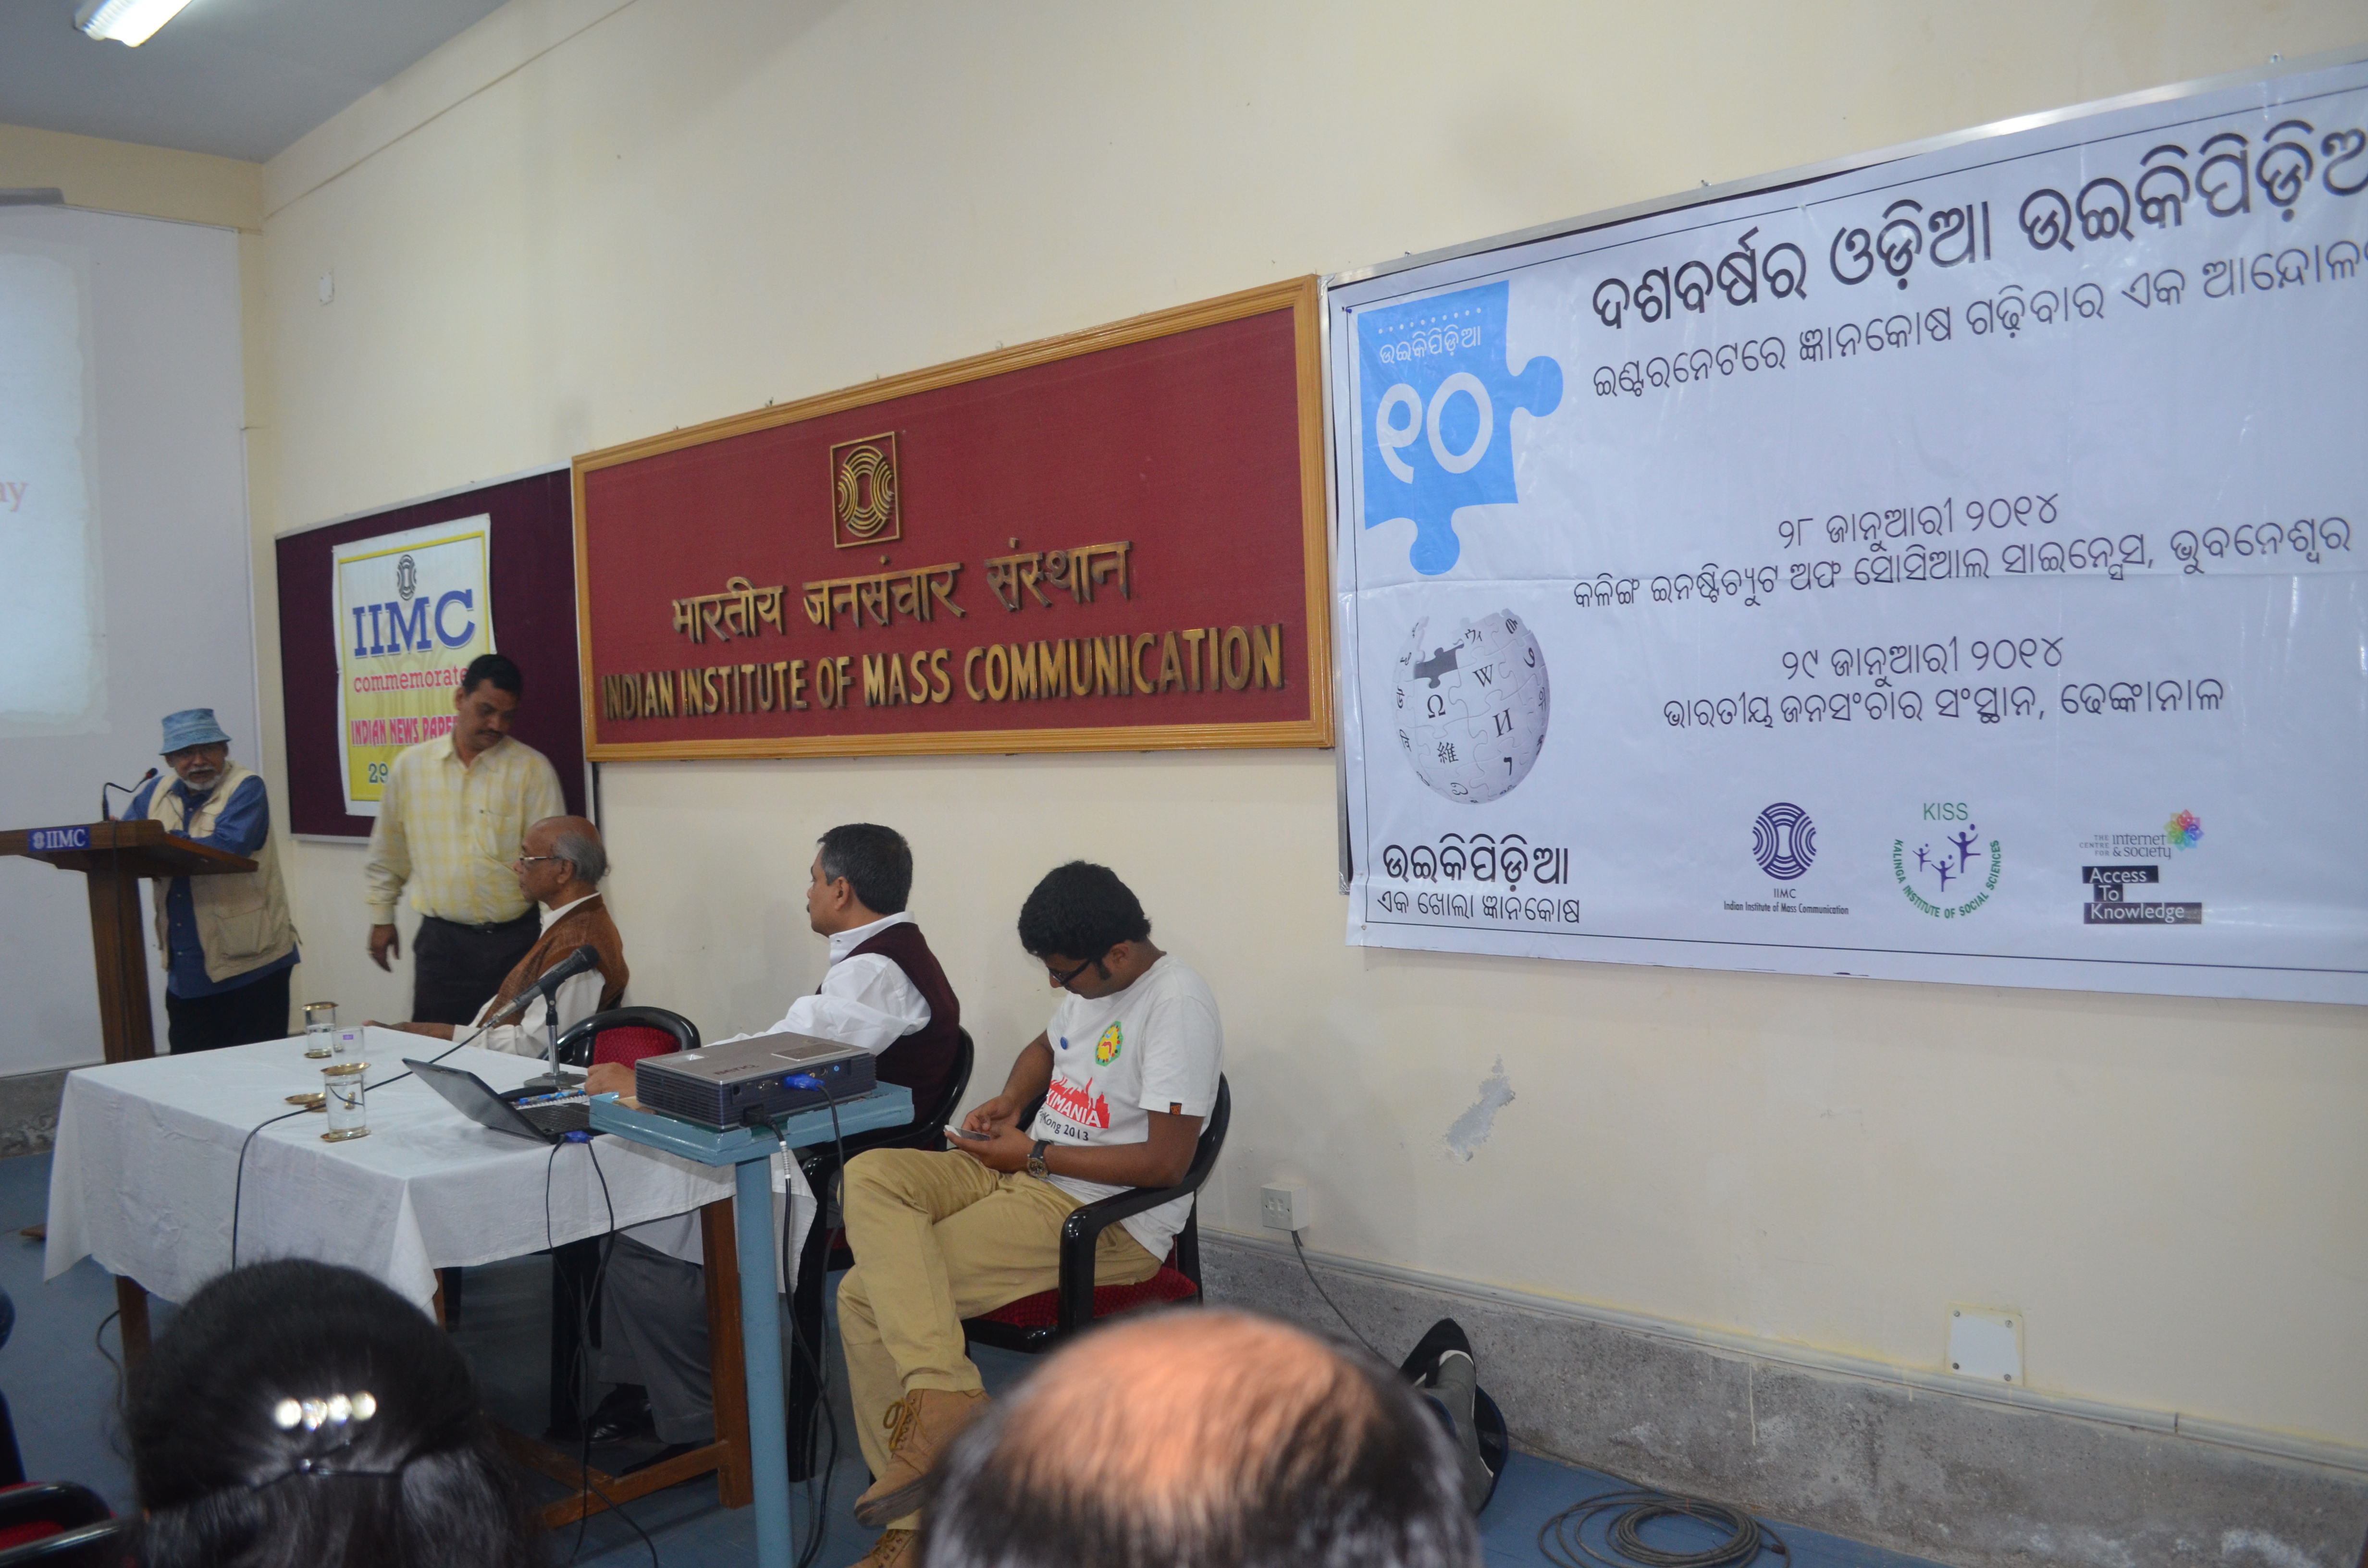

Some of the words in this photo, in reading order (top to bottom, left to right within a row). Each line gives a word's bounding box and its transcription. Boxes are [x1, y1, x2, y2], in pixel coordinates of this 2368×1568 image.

[2016, 113, 2366, 257] ଉଇକିପିଡ଼ିଆ
[1823, 193, 1994, 296] ଓଡ଼ିଆ
[1588, 224, 1813, 336] ଦଶବର୍ଷର
[1958, 270, 2110, 341] ଗଢ଼ିବାର
[2116, 256, 2195, 319] ଏକ
[2198, 233, 2364, 302] ଆନ୍ଦୋଳ
[1374, 321, 1484, 365] ଉଇକିପିଡ଼ିଆ
[1795, 304, 1953, 368] ଜ୍ଞାନକୋଷ
[1590, 332, 1787, 402] ଇଣ୍ଟରନେଟରେ
[345, 582, 480, 662] IIMC
[668, 570, 787, 648] भारतीय
[799, 551, 968, 633] जनसंचार
[983, 527, 1134, 615] संस्थान
[1571, 568, 1645, 612] କଳିଙ୍ଗ
[1648, 558, 1782, 612] ଇନଷ୍ଟିଚ୍ୟୁଟ
[1775, 513, 1815, 554] ୨୮
[1787, 556, 1845, 595] ଅଫ
[1825, 496, 1954, 555] ଜାନୁଆରୀ
[1853, 541, 1991, 590] ସୋସିଆଲ
[1964, 492, 2060, 532] ୨୦୧୪
[2000, 530, 2148, 585] ସାଇନ୍ସେସ,
[2165, 515, 2355, 575] ଭୁବନେଶ୍ବର
[350, 664, 473, 695] commemorate
[596, 664, 678, 722] INDIAN
[678, 657, 810, 719] INSTITUTE
[812, 650, 857, 712] OF
[848, 639, 958, 716] MASS
[959, 620, 1286, 705] COMMUNICATION
[1660, 688, 1775, 729] ଭାରତୀୟ
[1780, 687, 1928, 726] ଜନସଂଚାର
[1780, 631, 1961, 691] ୨୯ ଜାନୁଆରୀ
[1935, 684, 2039, 726] ସଂସ୍ଥାନ
[1971, 631, 2068, 675] ୨୦୧୪
[2060, 672, 2227, 717] ଢେଙ୍କାନାଳ
[347, 715, 392, 749] INDIAN
[384, 716, 421, 746] NEWS
[1918, 795, 1977, 824] KISS
[40, 823, 89, 851] IIMC
[1376, 886, 1410, 920] ଏକ
[1414, 889, 1476, 922] ଖୋଲା
[1380, 830, 1571, 895] ଉଇକିପିଡ଼ିଆ
[1478, 891, 1584, 927] ଜ୍ଞାନକୋଷ
[1722, 899, 1746, 912] Indian
[1744, 900, 1774, 913] Institute
[1768, 901, 1781, 914] of
[1769, 885, 1798, 902] IIMC
[1779, 902, 1799, 914] Mass
[1794, 900, 1851, 917] Communication
[1890, 838, 1908, 887] KALINGA
[1899, 883, 1943, 921] INSTITUTE
[1943, 906, 1957, 920] OF
[1956, 889, 1991, 921] SOCIAL
[1983, 838, 2004, 893] SCIENCES
[2077, 839, 2111, 851] CENTRE
[2092, 833, 2111, 843] THE
[2092, 849, 2111, 858] FOR
[2096, 881, 2121, 906] To
[2108, 845, 2123, 861] &
[2087, 866, 2149, 887] Access
[2088, 900, 2186, 927] Knowledge
[2110, 832, 2167, 847] internet
[2121, 842, 2172, 862] society